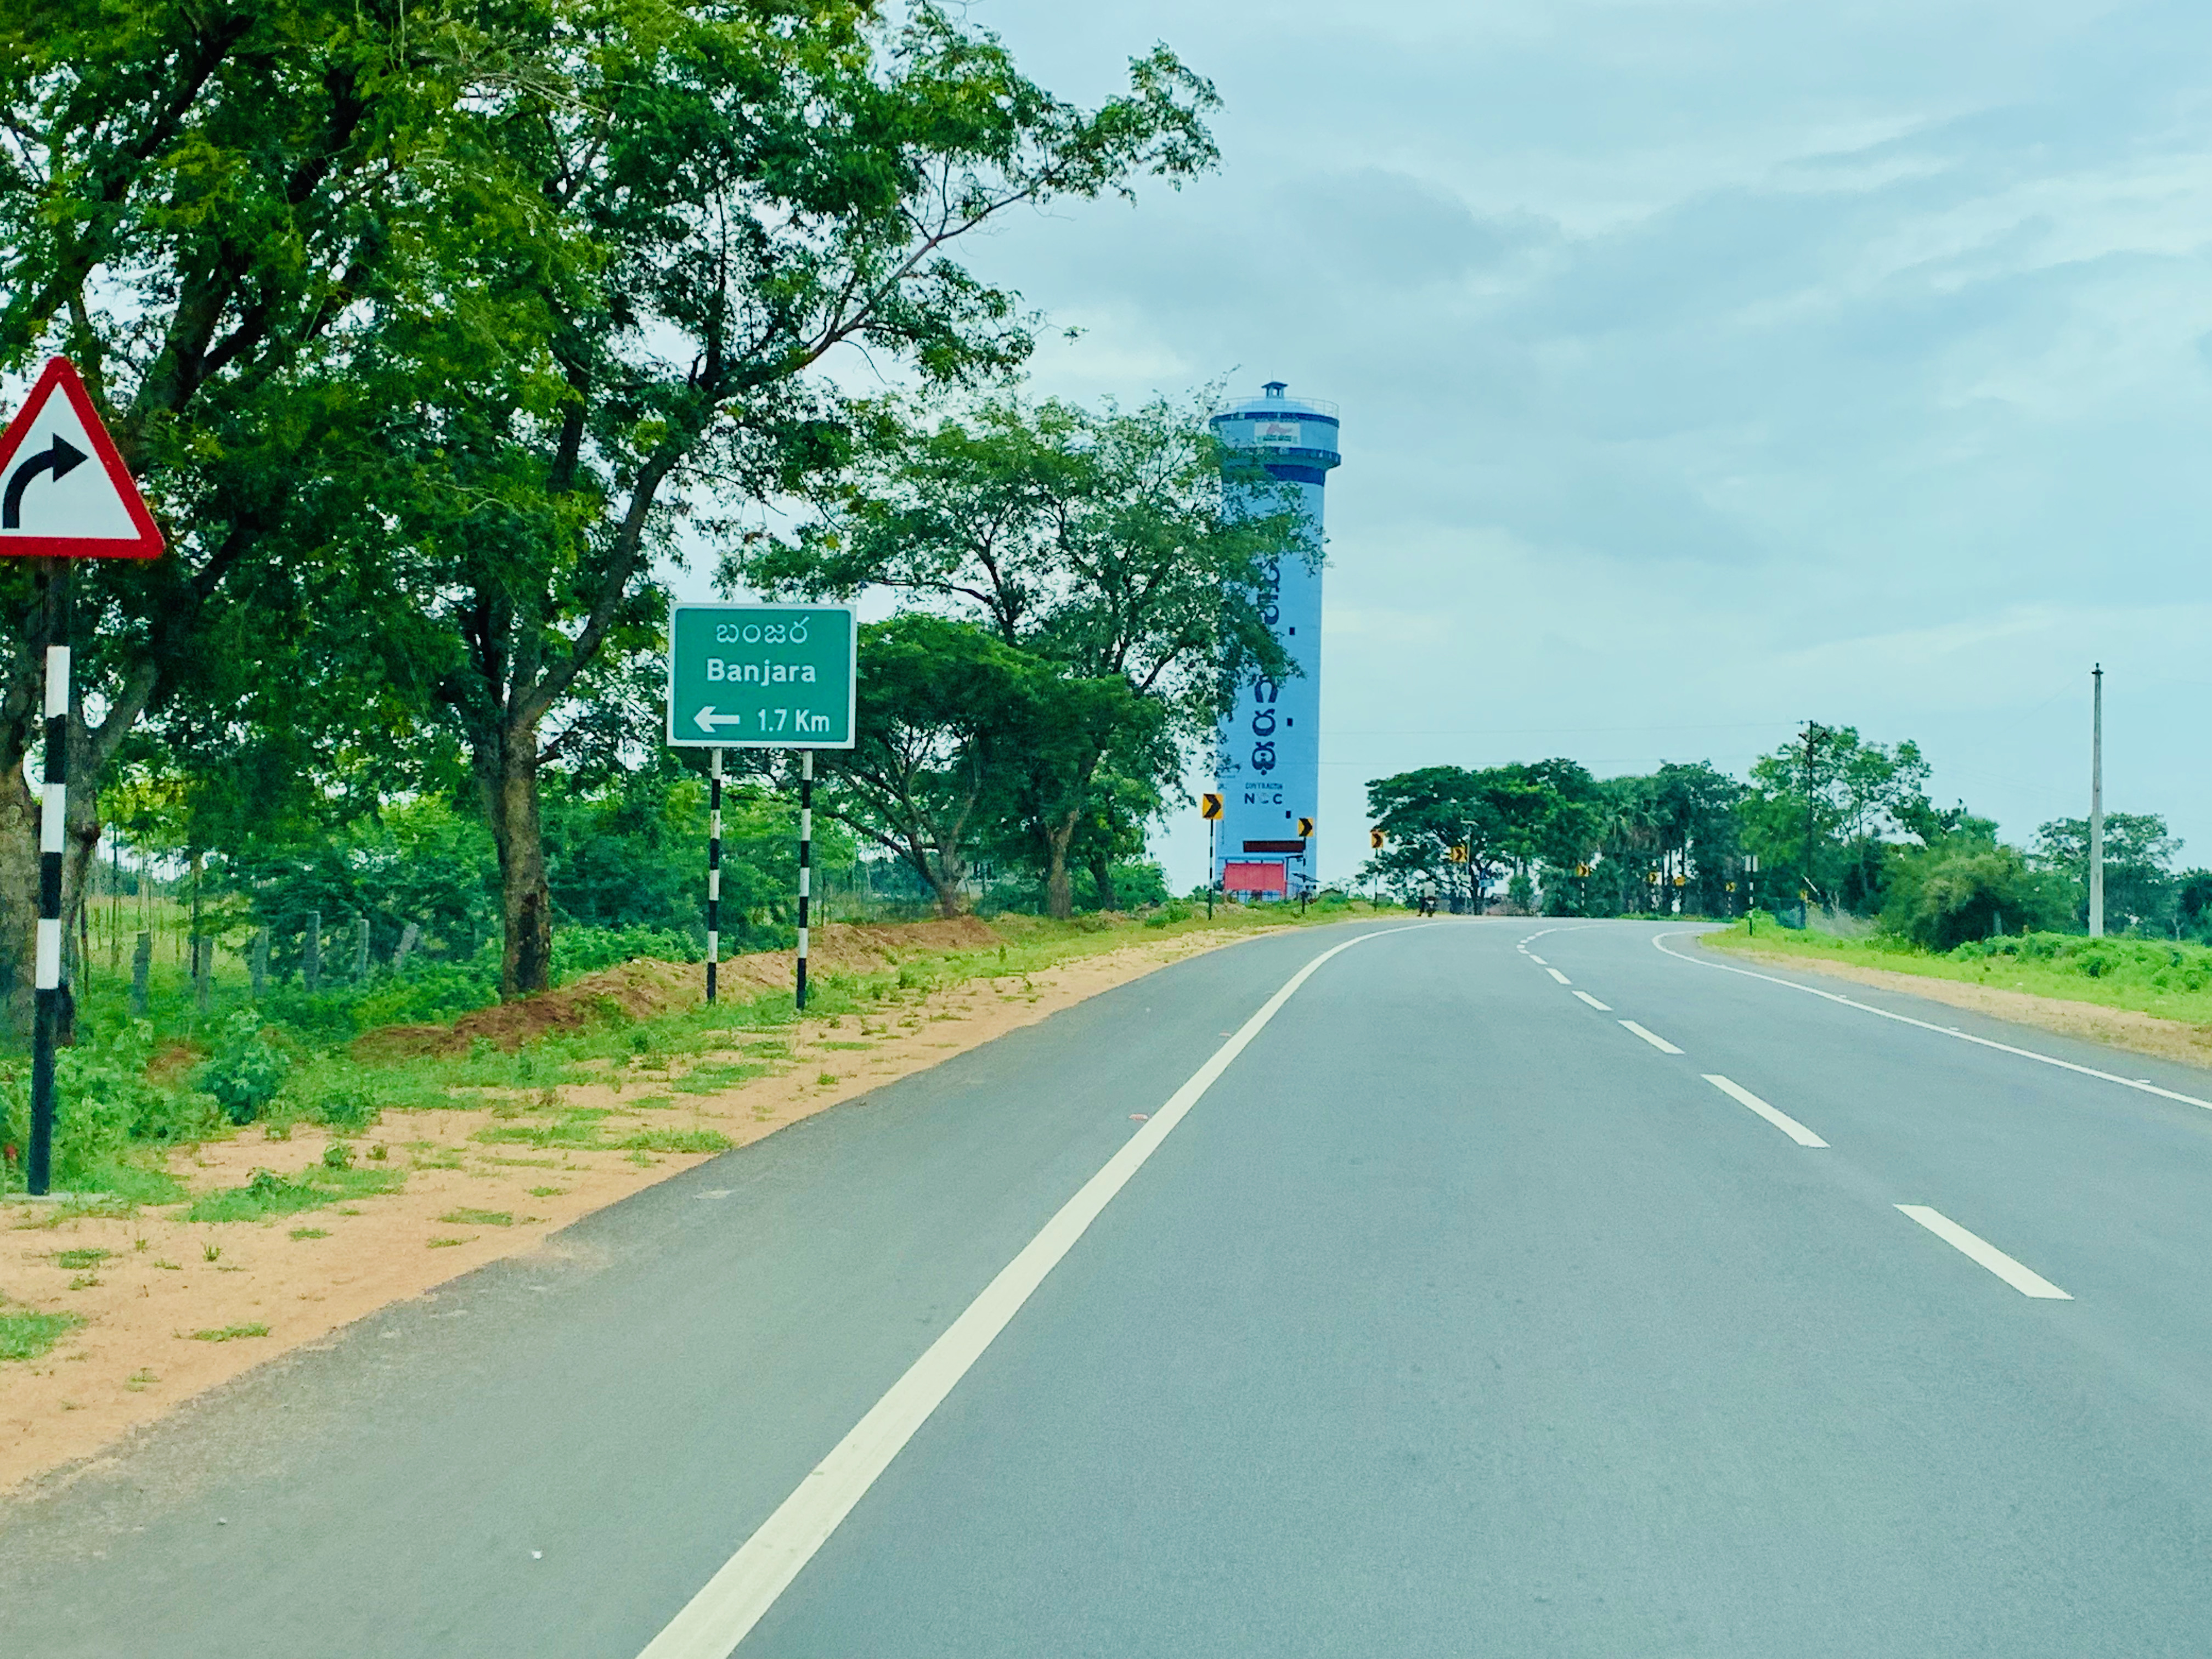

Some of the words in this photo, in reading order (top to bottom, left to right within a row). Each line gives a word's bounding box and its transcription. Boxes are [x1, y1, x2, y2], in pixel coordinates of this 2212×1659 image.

[713, 614, 810, 647] బంజర
[704, 654, 819, 692] Banjara
[758, 705, 834, 736] 1.7Km